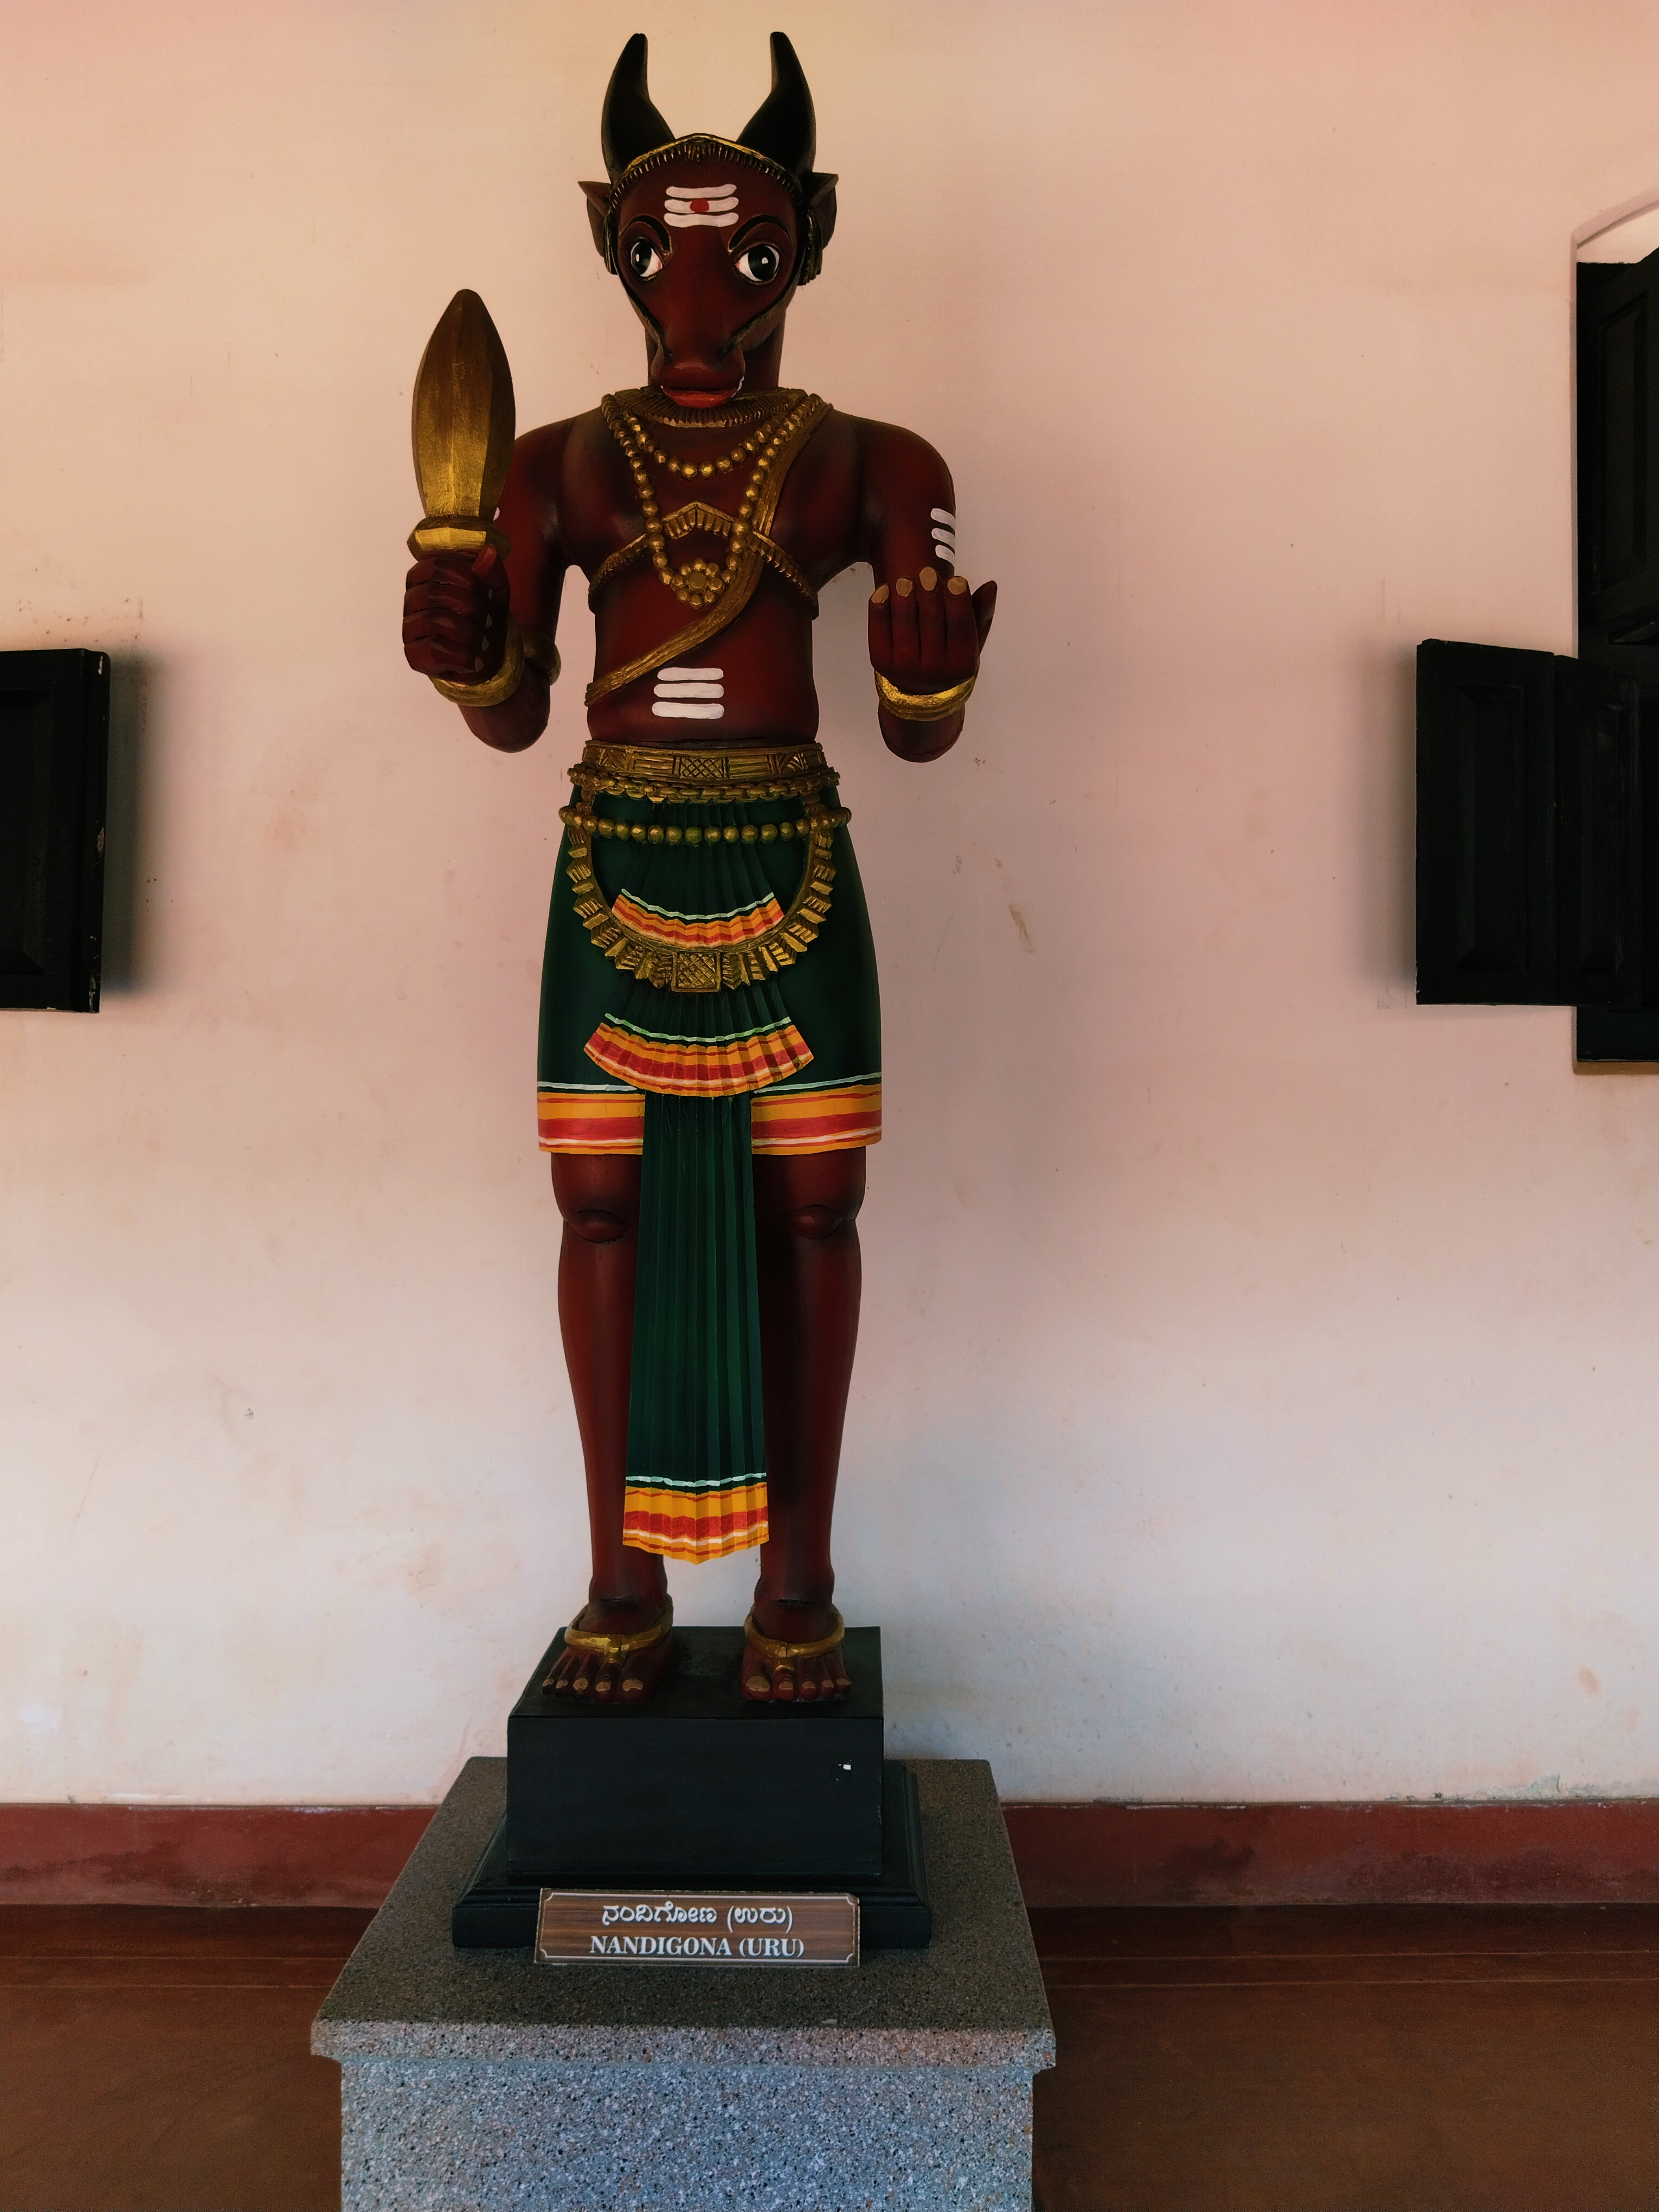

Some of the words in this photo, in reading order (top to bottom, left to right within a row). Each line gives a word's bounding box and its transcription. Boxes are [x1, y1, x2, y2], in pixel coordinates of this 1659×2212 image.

[598, 1896, 721, 1928] ನಂದಿಗೋಣ
[729, 1902, 790, 1926] ಉರು
[583, 1931, 735, 1958] NANDIGONA
[737, 1935, 798, 1961] (URU